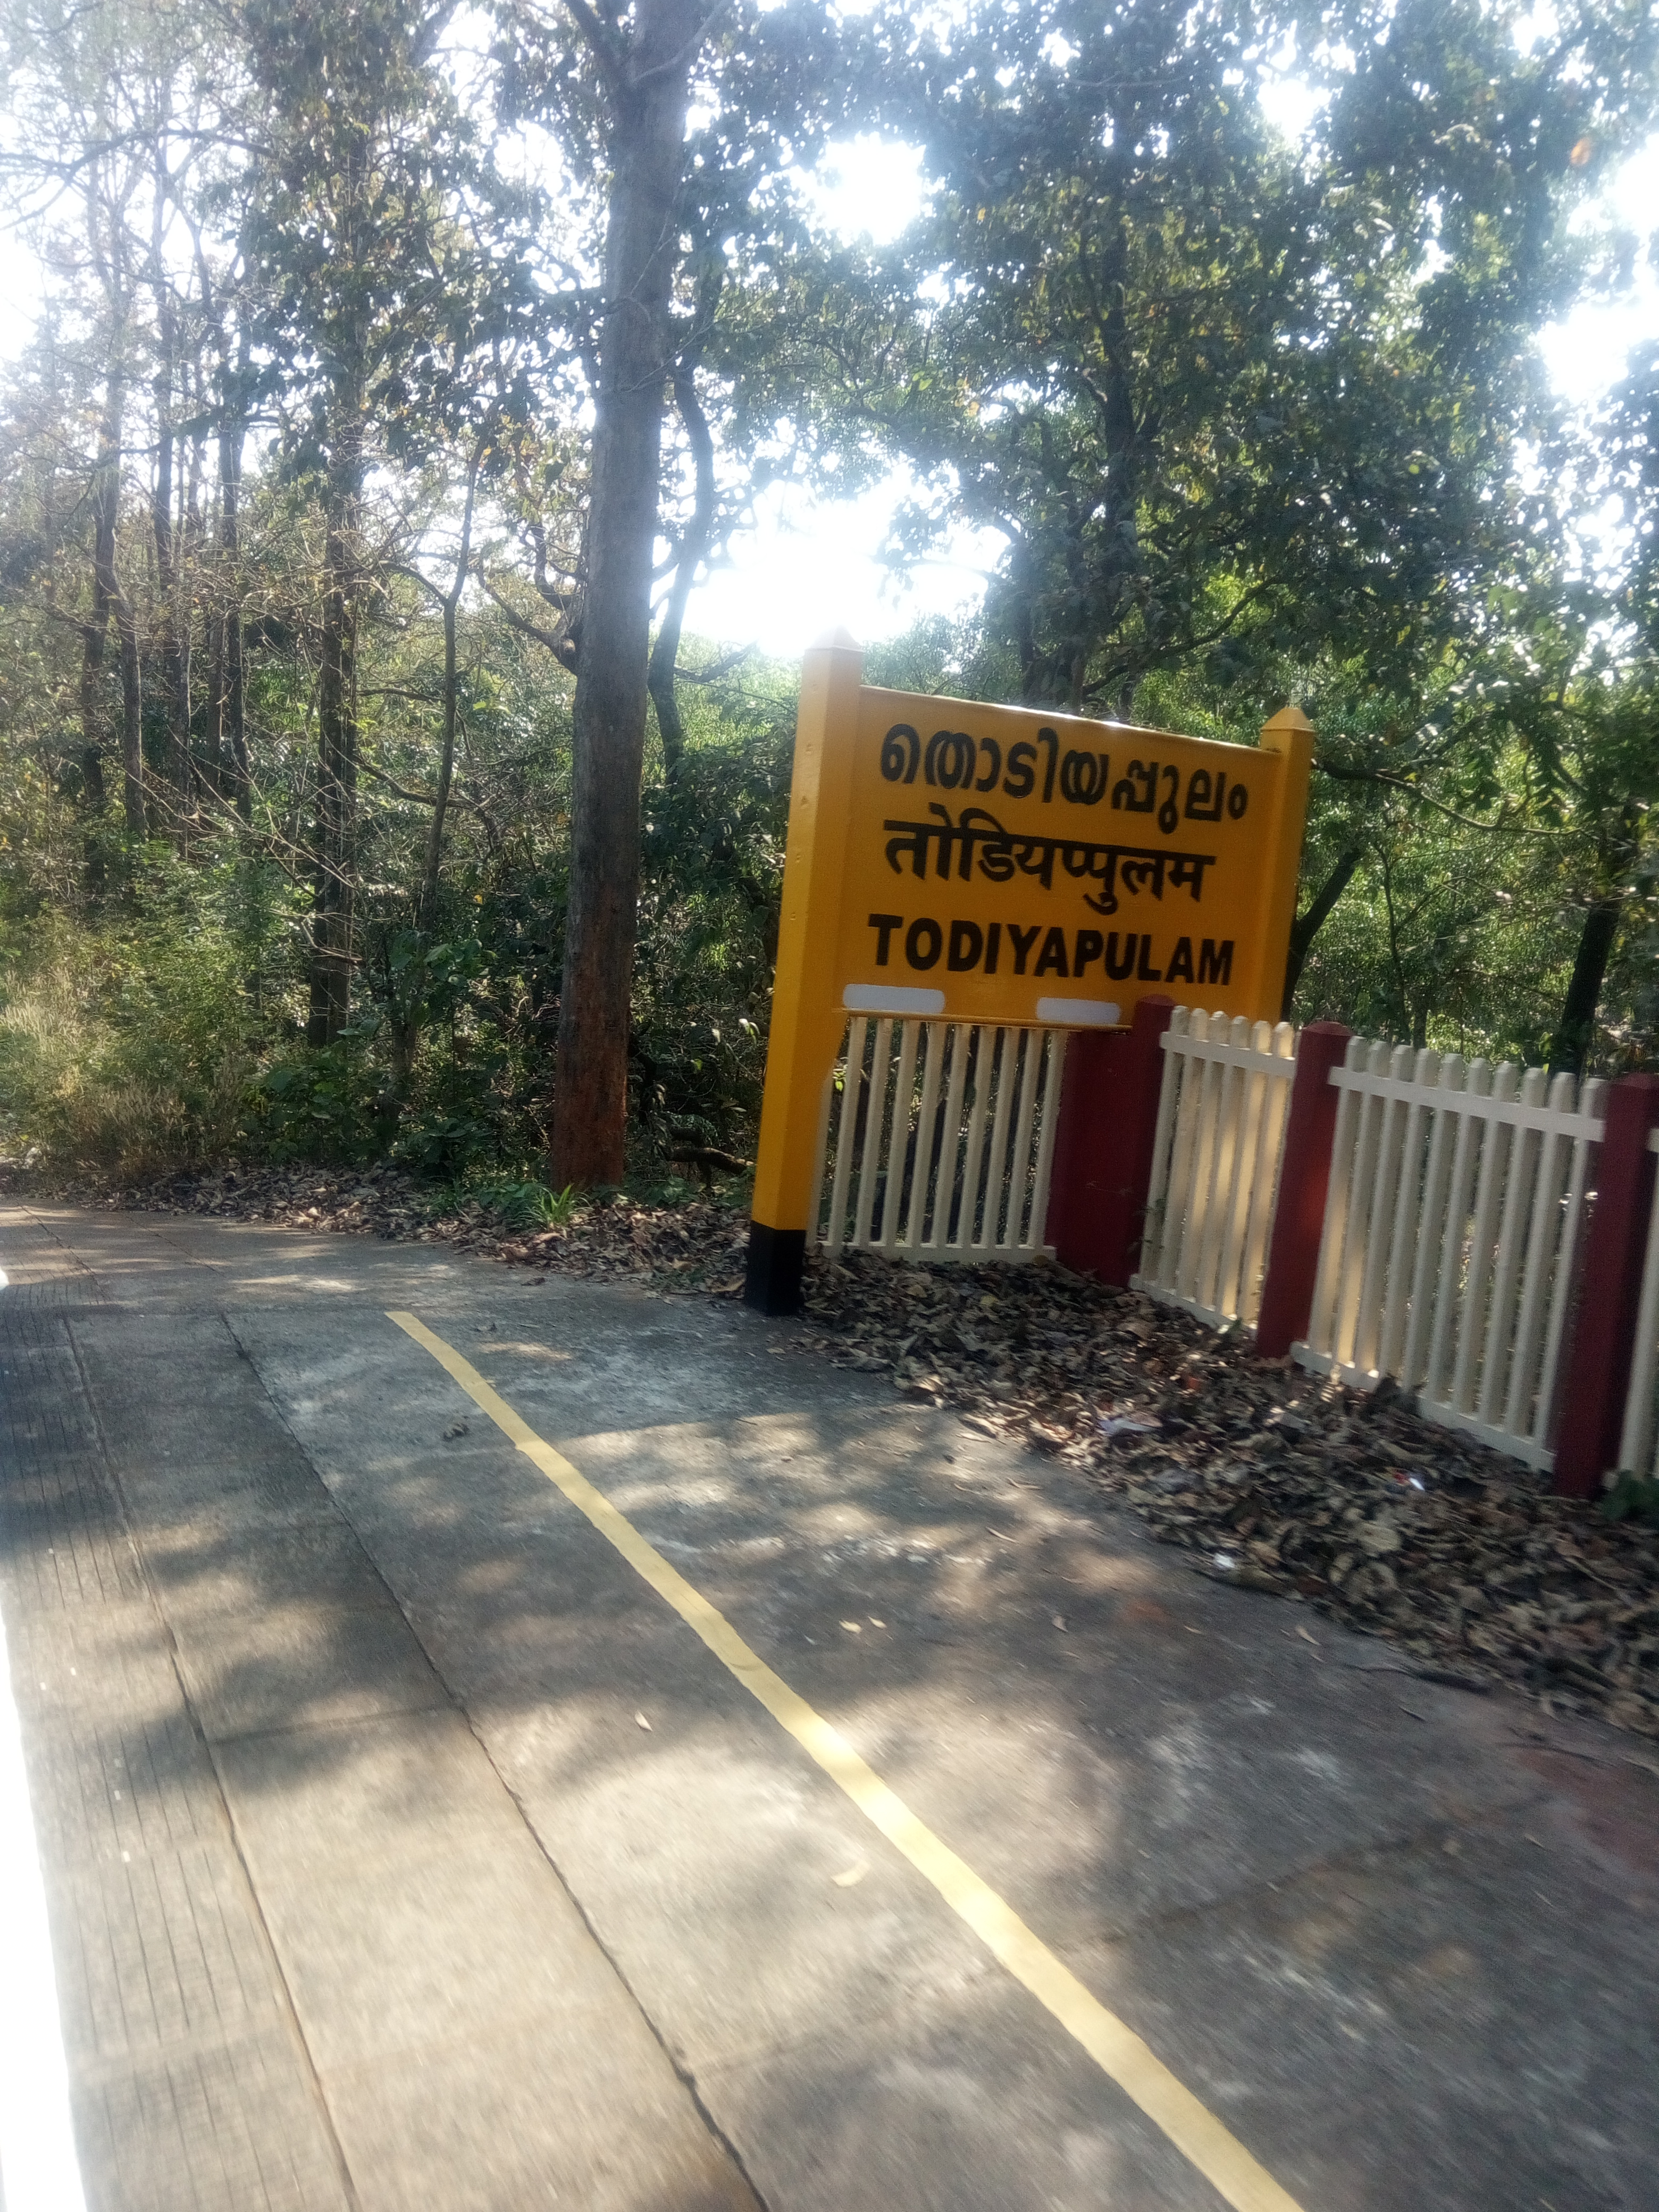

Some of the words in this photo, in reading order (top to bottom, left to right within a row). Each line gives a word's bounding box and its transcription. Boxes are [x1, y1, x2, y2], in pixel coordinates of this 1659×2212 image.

[870, 715, 1253, 836] തൊടിയപ്പുലം
[882, 793, 1218, 919] तोडियप्पुलम
[867, 909, 1237, 990] TODIYAPULAM